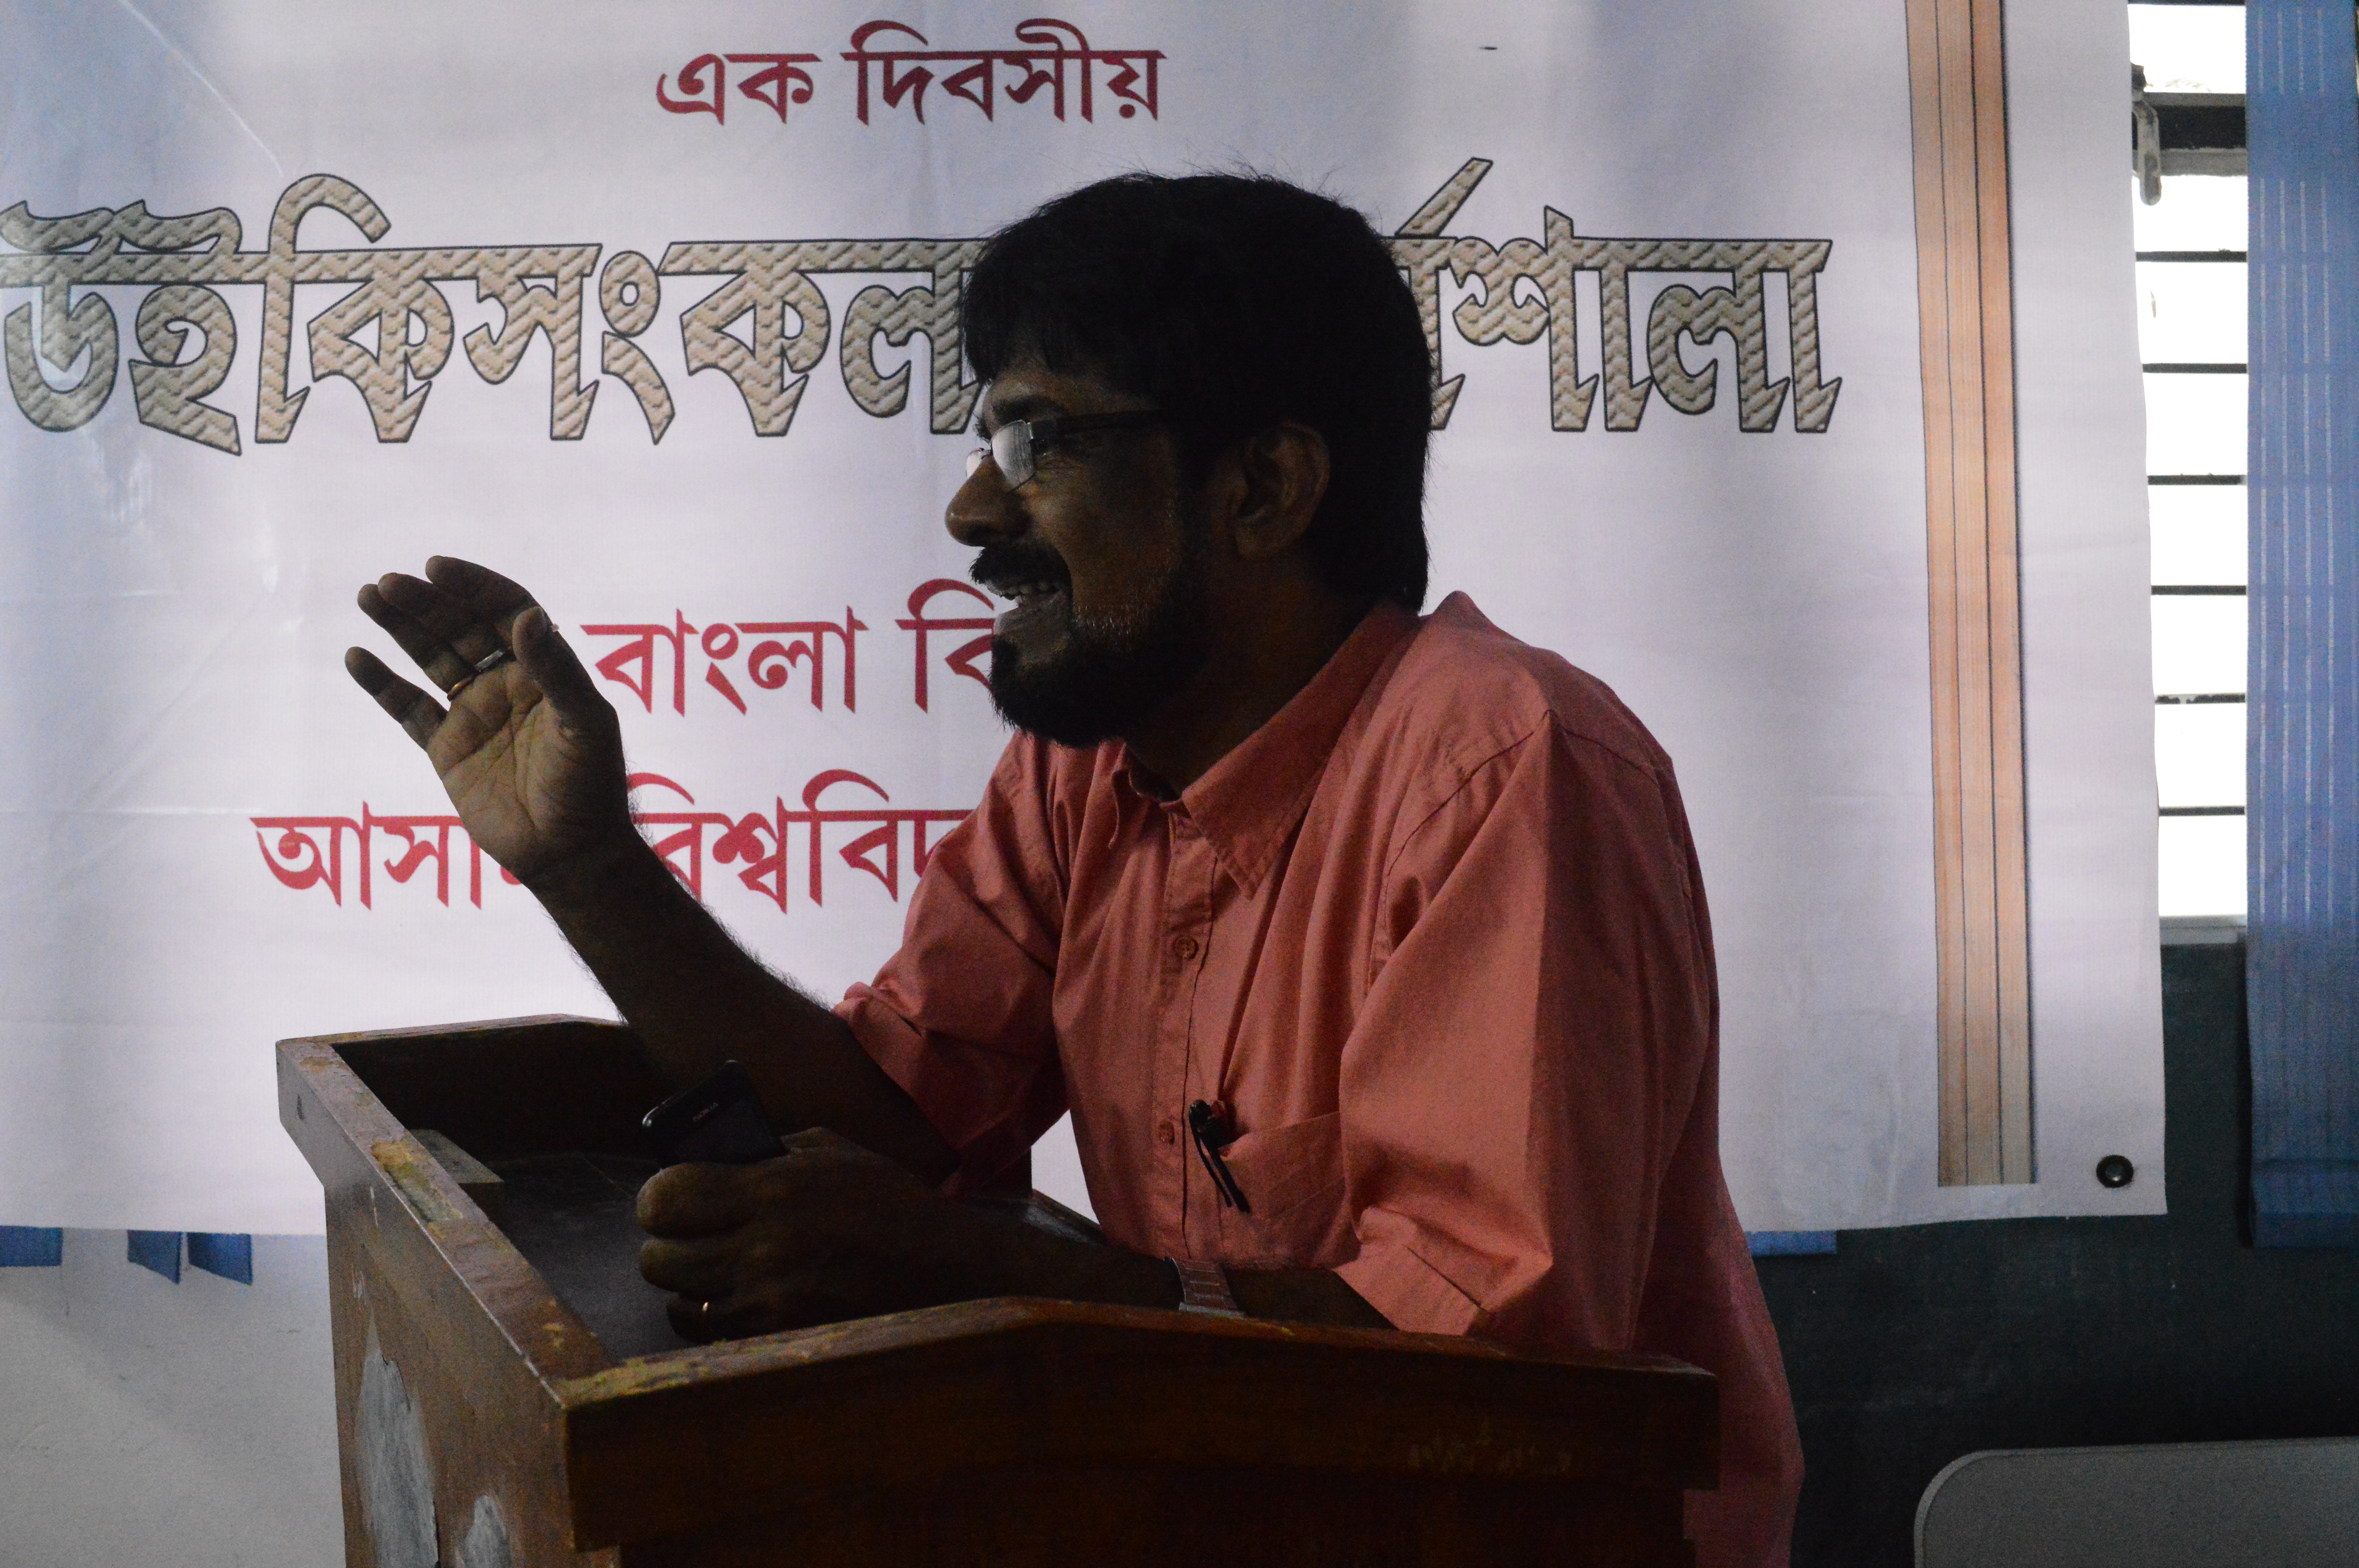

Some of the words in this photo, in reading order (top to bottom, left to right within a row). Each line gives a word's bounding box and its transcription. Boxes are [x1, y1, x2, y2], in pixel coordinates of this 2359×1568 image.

[653, 38, 830, 141] এক
[843, 13, 1169, 134] দিবসীয়
[2, 165, 980, 461] উইকিসংকল
[1390, 152, 1847, 440] শালা
[590, 599, 874, 726] বাংল৷
[249, 795, 482, 922] আসা